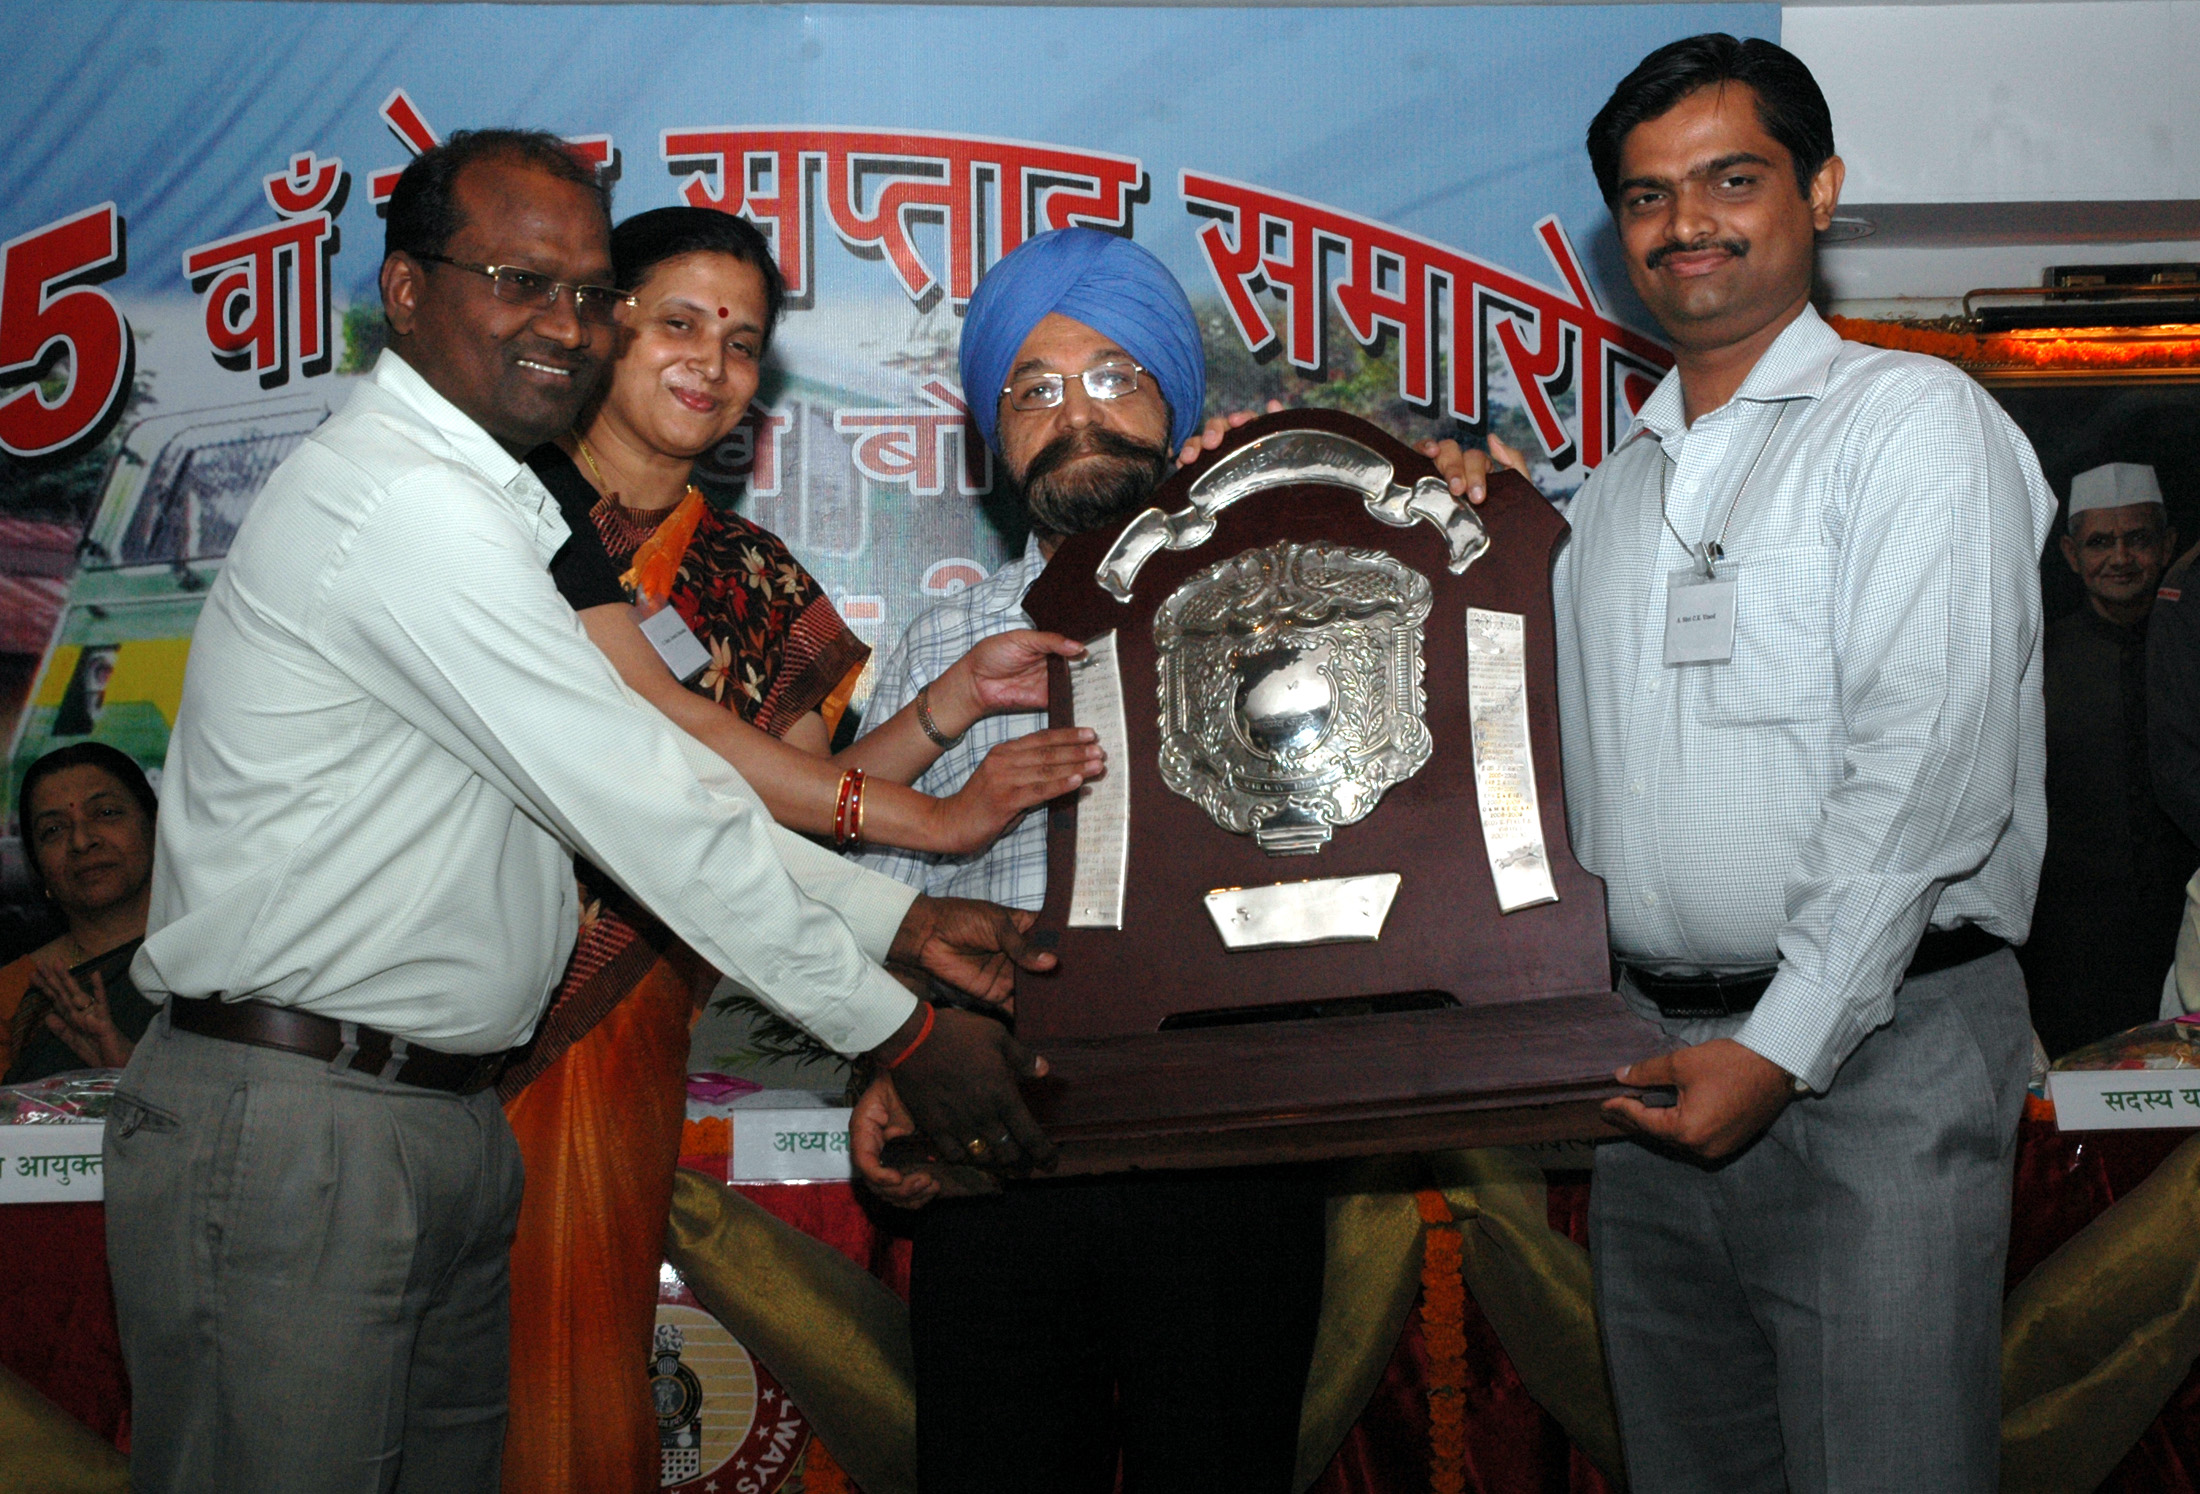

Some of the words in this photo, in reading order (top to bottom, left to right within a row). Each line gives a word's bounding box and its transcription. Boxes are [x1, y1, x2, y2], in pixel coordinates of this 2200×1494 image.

[182, 145, 345, 380] वॉं
[660, 126, 1146, 312] सप्ताह
[1180, 165, 1682, 470] समारो
[12, 1143, 112, 1192] आयुक्त
[768, 1121, 857, 1161] अध्यक्ष
[2097, 1084, 2178, 1116] सदस्य